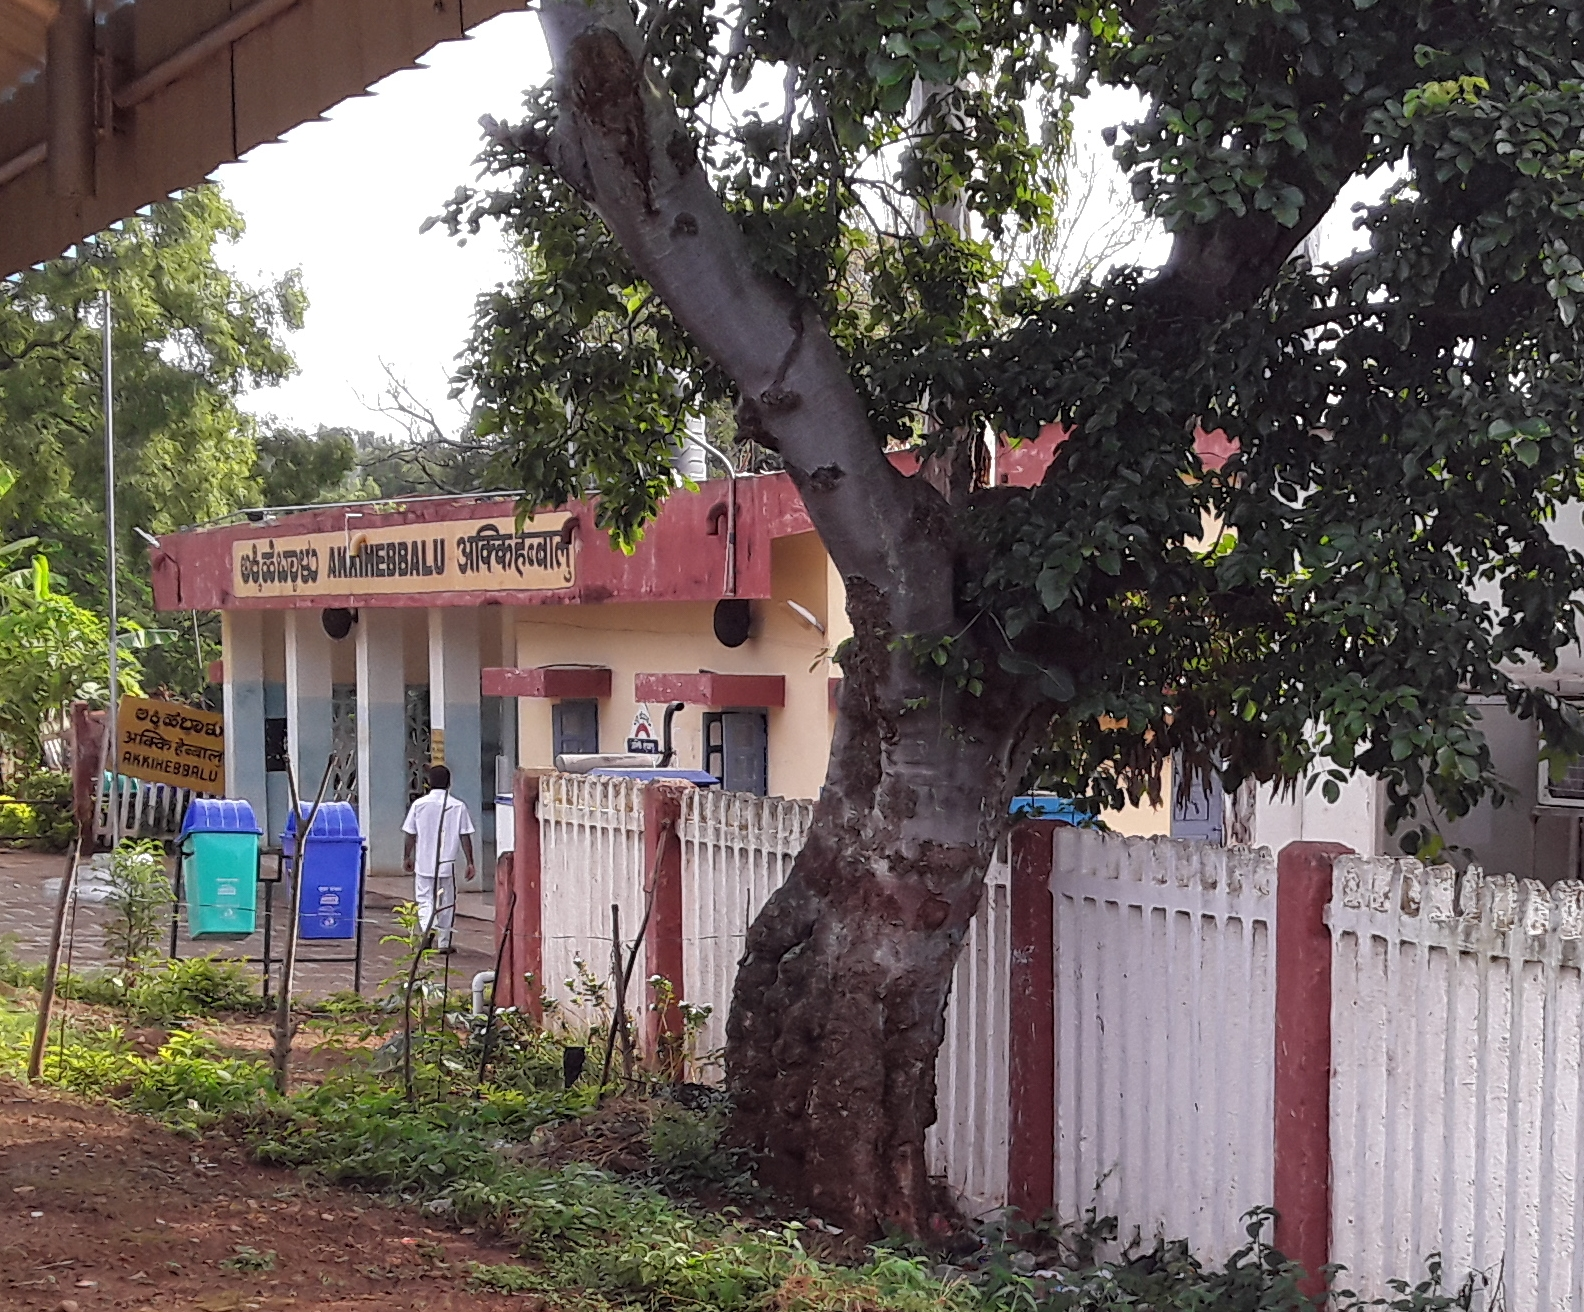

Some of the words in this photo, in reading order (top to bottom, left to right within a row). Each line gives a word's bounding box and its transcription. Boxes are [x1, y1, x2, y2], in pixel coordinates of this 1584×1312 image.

[233, 538, 320, 594] ಅಕ್ಕಿಹೆಬ್ಬಾಳು
[322, 531, 450, 580] AKKIHEBBALU
[452, 515, 576, 587] अक्किहब्बालु
[121, 721, 175, 756] अक्कि
[117, 745, 220, 788] AKKIHEBBALU
[131, 703, 228, 743] ಅಕ್ರಿಹಬಾತು
[169, 732, 227, 772] हेब्बाल